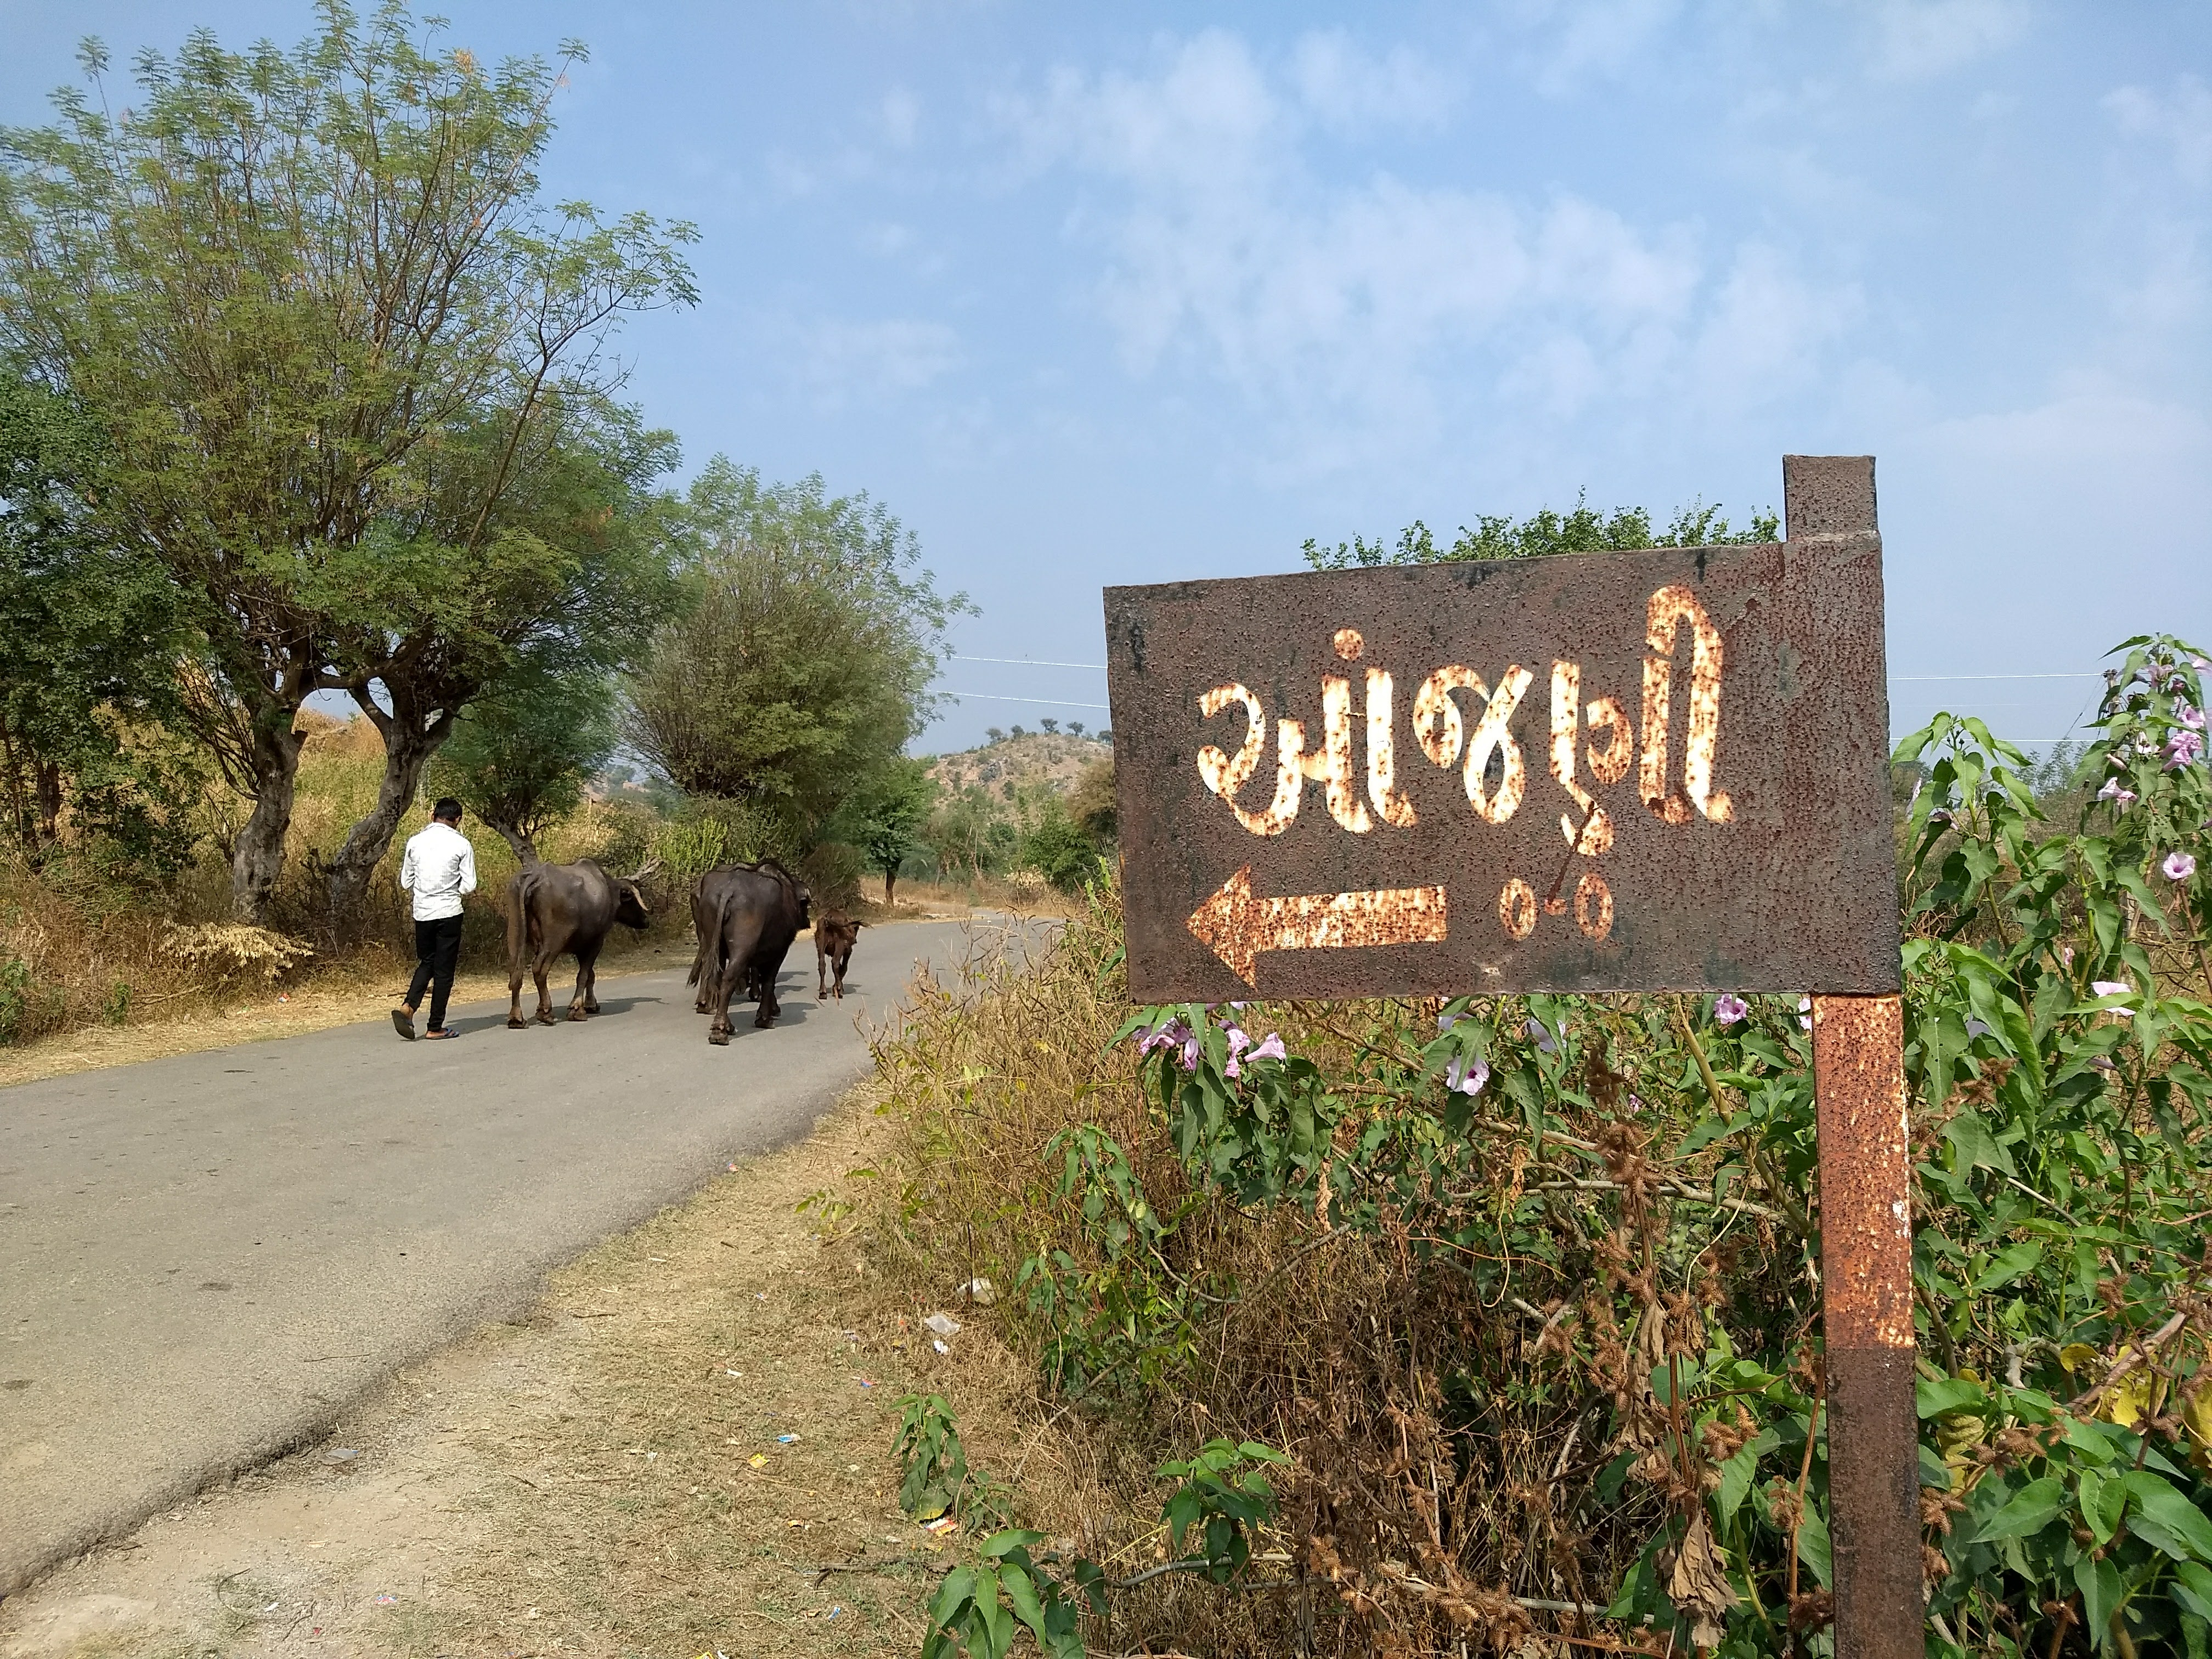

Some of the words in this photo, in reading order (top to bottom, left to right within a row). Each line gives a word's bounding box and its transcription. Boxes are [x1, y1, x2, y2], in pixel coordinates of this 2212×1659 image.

[1167, 578, 1748, 864] આજણી